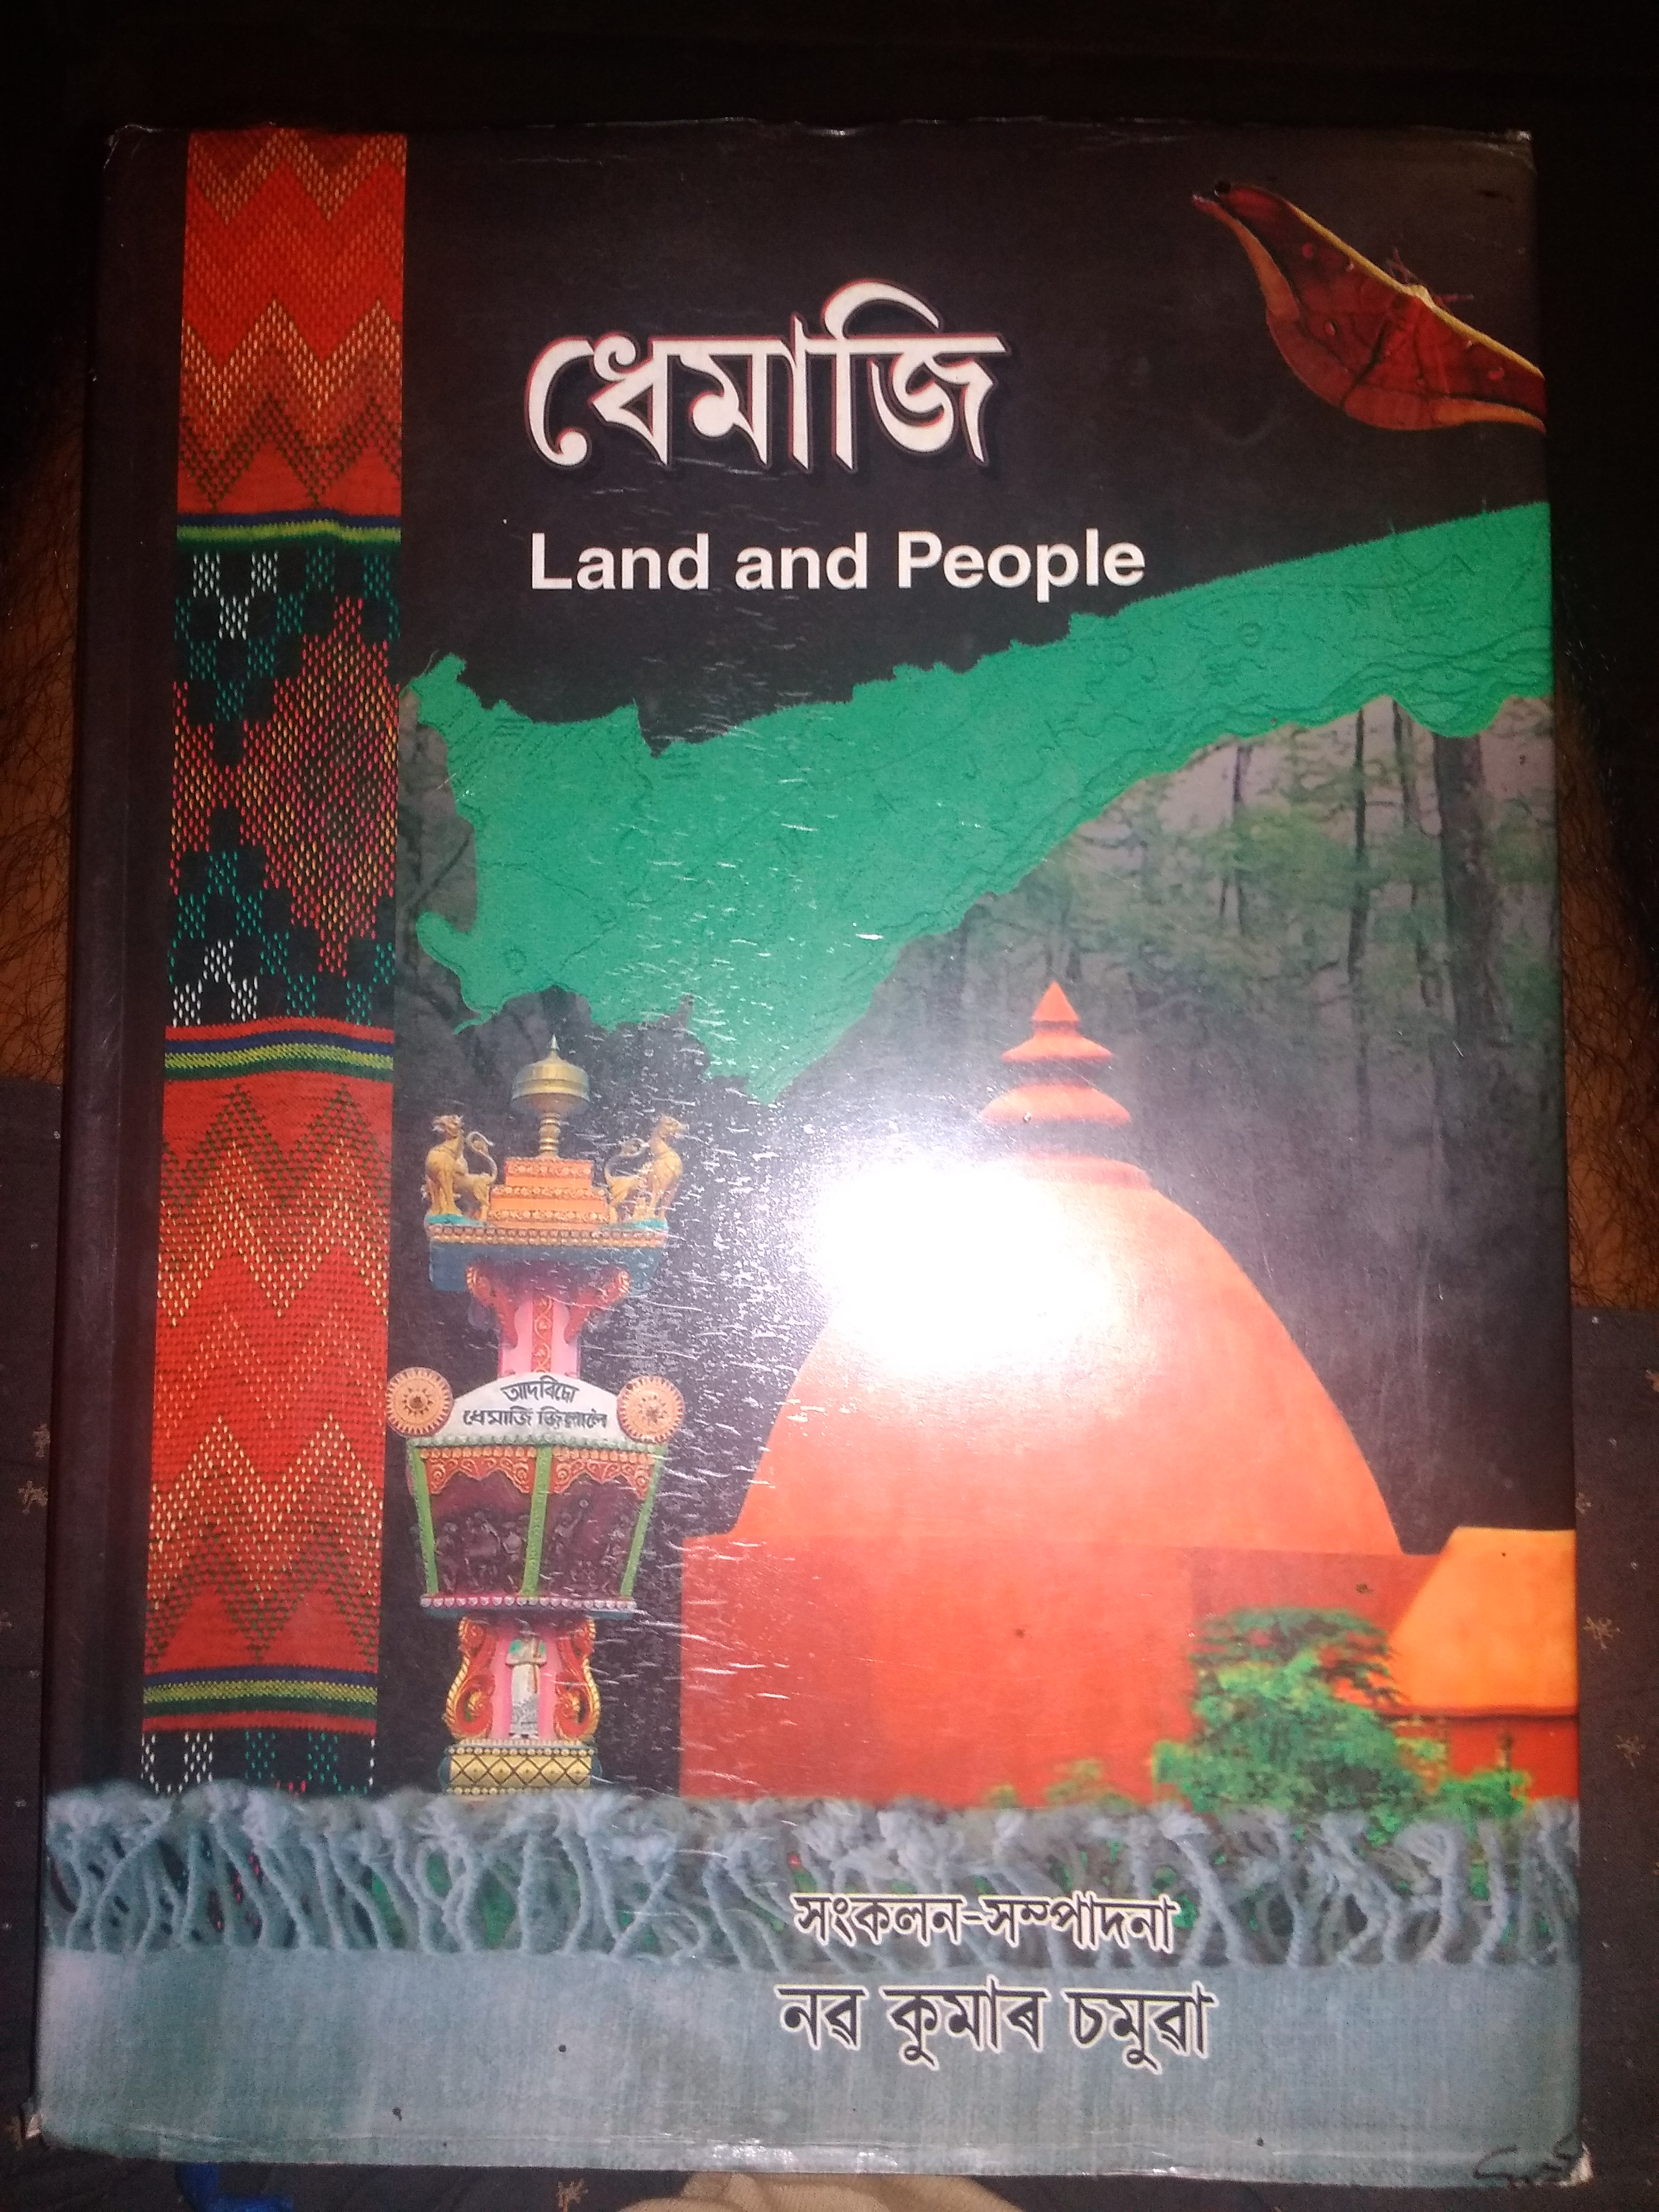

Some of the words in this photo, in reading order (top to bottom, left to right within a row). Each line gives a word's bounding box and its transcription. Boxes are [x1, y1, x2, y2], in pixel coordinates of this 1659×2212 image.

[513, 269, 1024, 476] ধেম৷জি
[522, 526, 719, 597] Land
[730, 526, 875, 598] and
[891, 520, 1152, 611] People
[460, 1400, 537, 1427] ধেমাজি
[496, 1371, 579, 1406] আদৰিচো
[533, 1400, 614, 1431] জিলালৈ
[788, 1890, 968, 1950] সংকলন
[974, 1884, 1180, 1956] -সম্পাদনা
[766, 1980, 873, 2065] নৱ
[875, 1982, 1053, 2076] কুমাৰ
[1055, 1980, 1219, 2074] চমুৱা